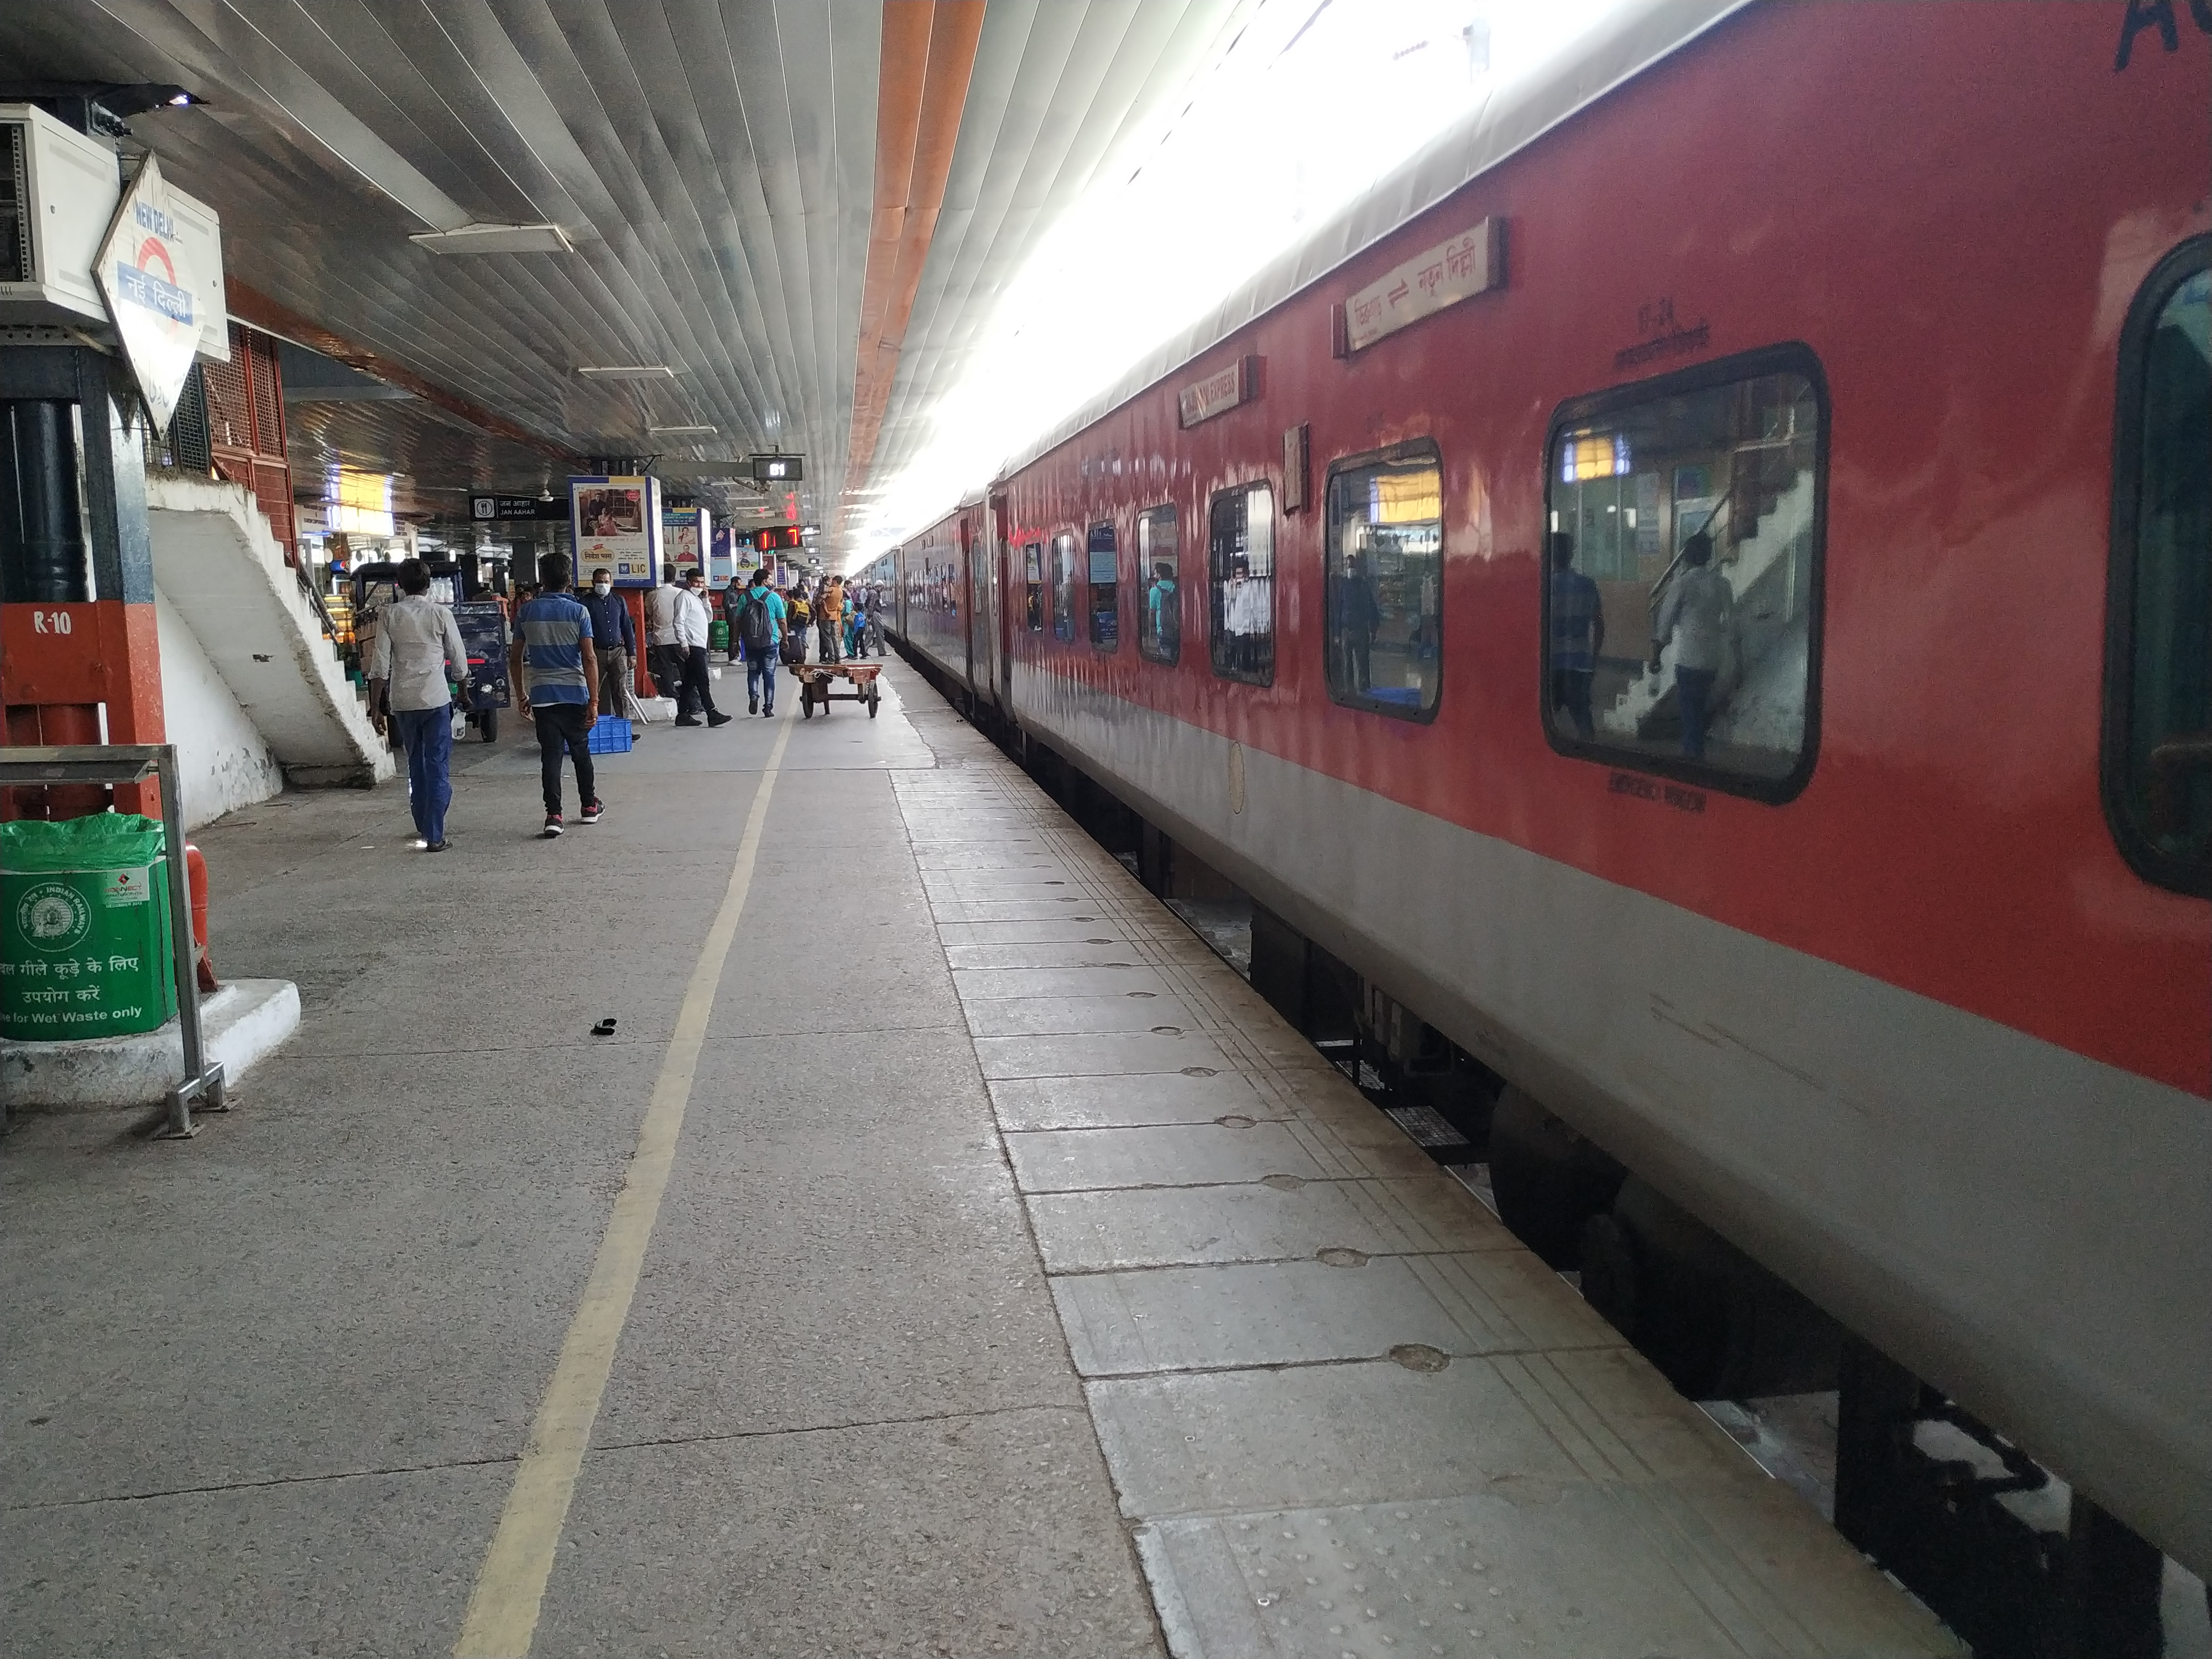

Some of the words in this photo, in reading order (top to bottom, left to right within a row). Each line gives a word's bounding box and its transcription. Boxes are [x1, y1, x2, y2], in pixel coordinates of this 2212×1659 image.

[131, 198, 156, 233] NEW
[148, 207, 178, 243] DELHA
[1441, 233, 1480, 287] मिल्ली
[124, 271, 150, 305] नई
[149, 276, 189, 318] दिल्ली
[1415, 256, 1446, 301] নভুন
[1182, 368, 1239, 418] RAISANIEXPRESS
[495, 500, 513, 510] जन
[497, 507, 515, 519] JAN
[510, 498, 534, 510] आहार
[512, 508, 537, 518] AAHAR
[16, 954, 50, 977] गीले
[51, 955, 84, 983] कूड़े
[83, 954, 106, 975] के
[105, 951, 141, 975] लिए
[22, 984, 71, 1008] उपयोग
[73, 980, 103, 1005] करें
[11, 1010, 29, 1027] for
[30, 1010, 62, 1027] Wet
[59, 1008, 112, 1025] Waste
[112, 1004, 147, 1024] only